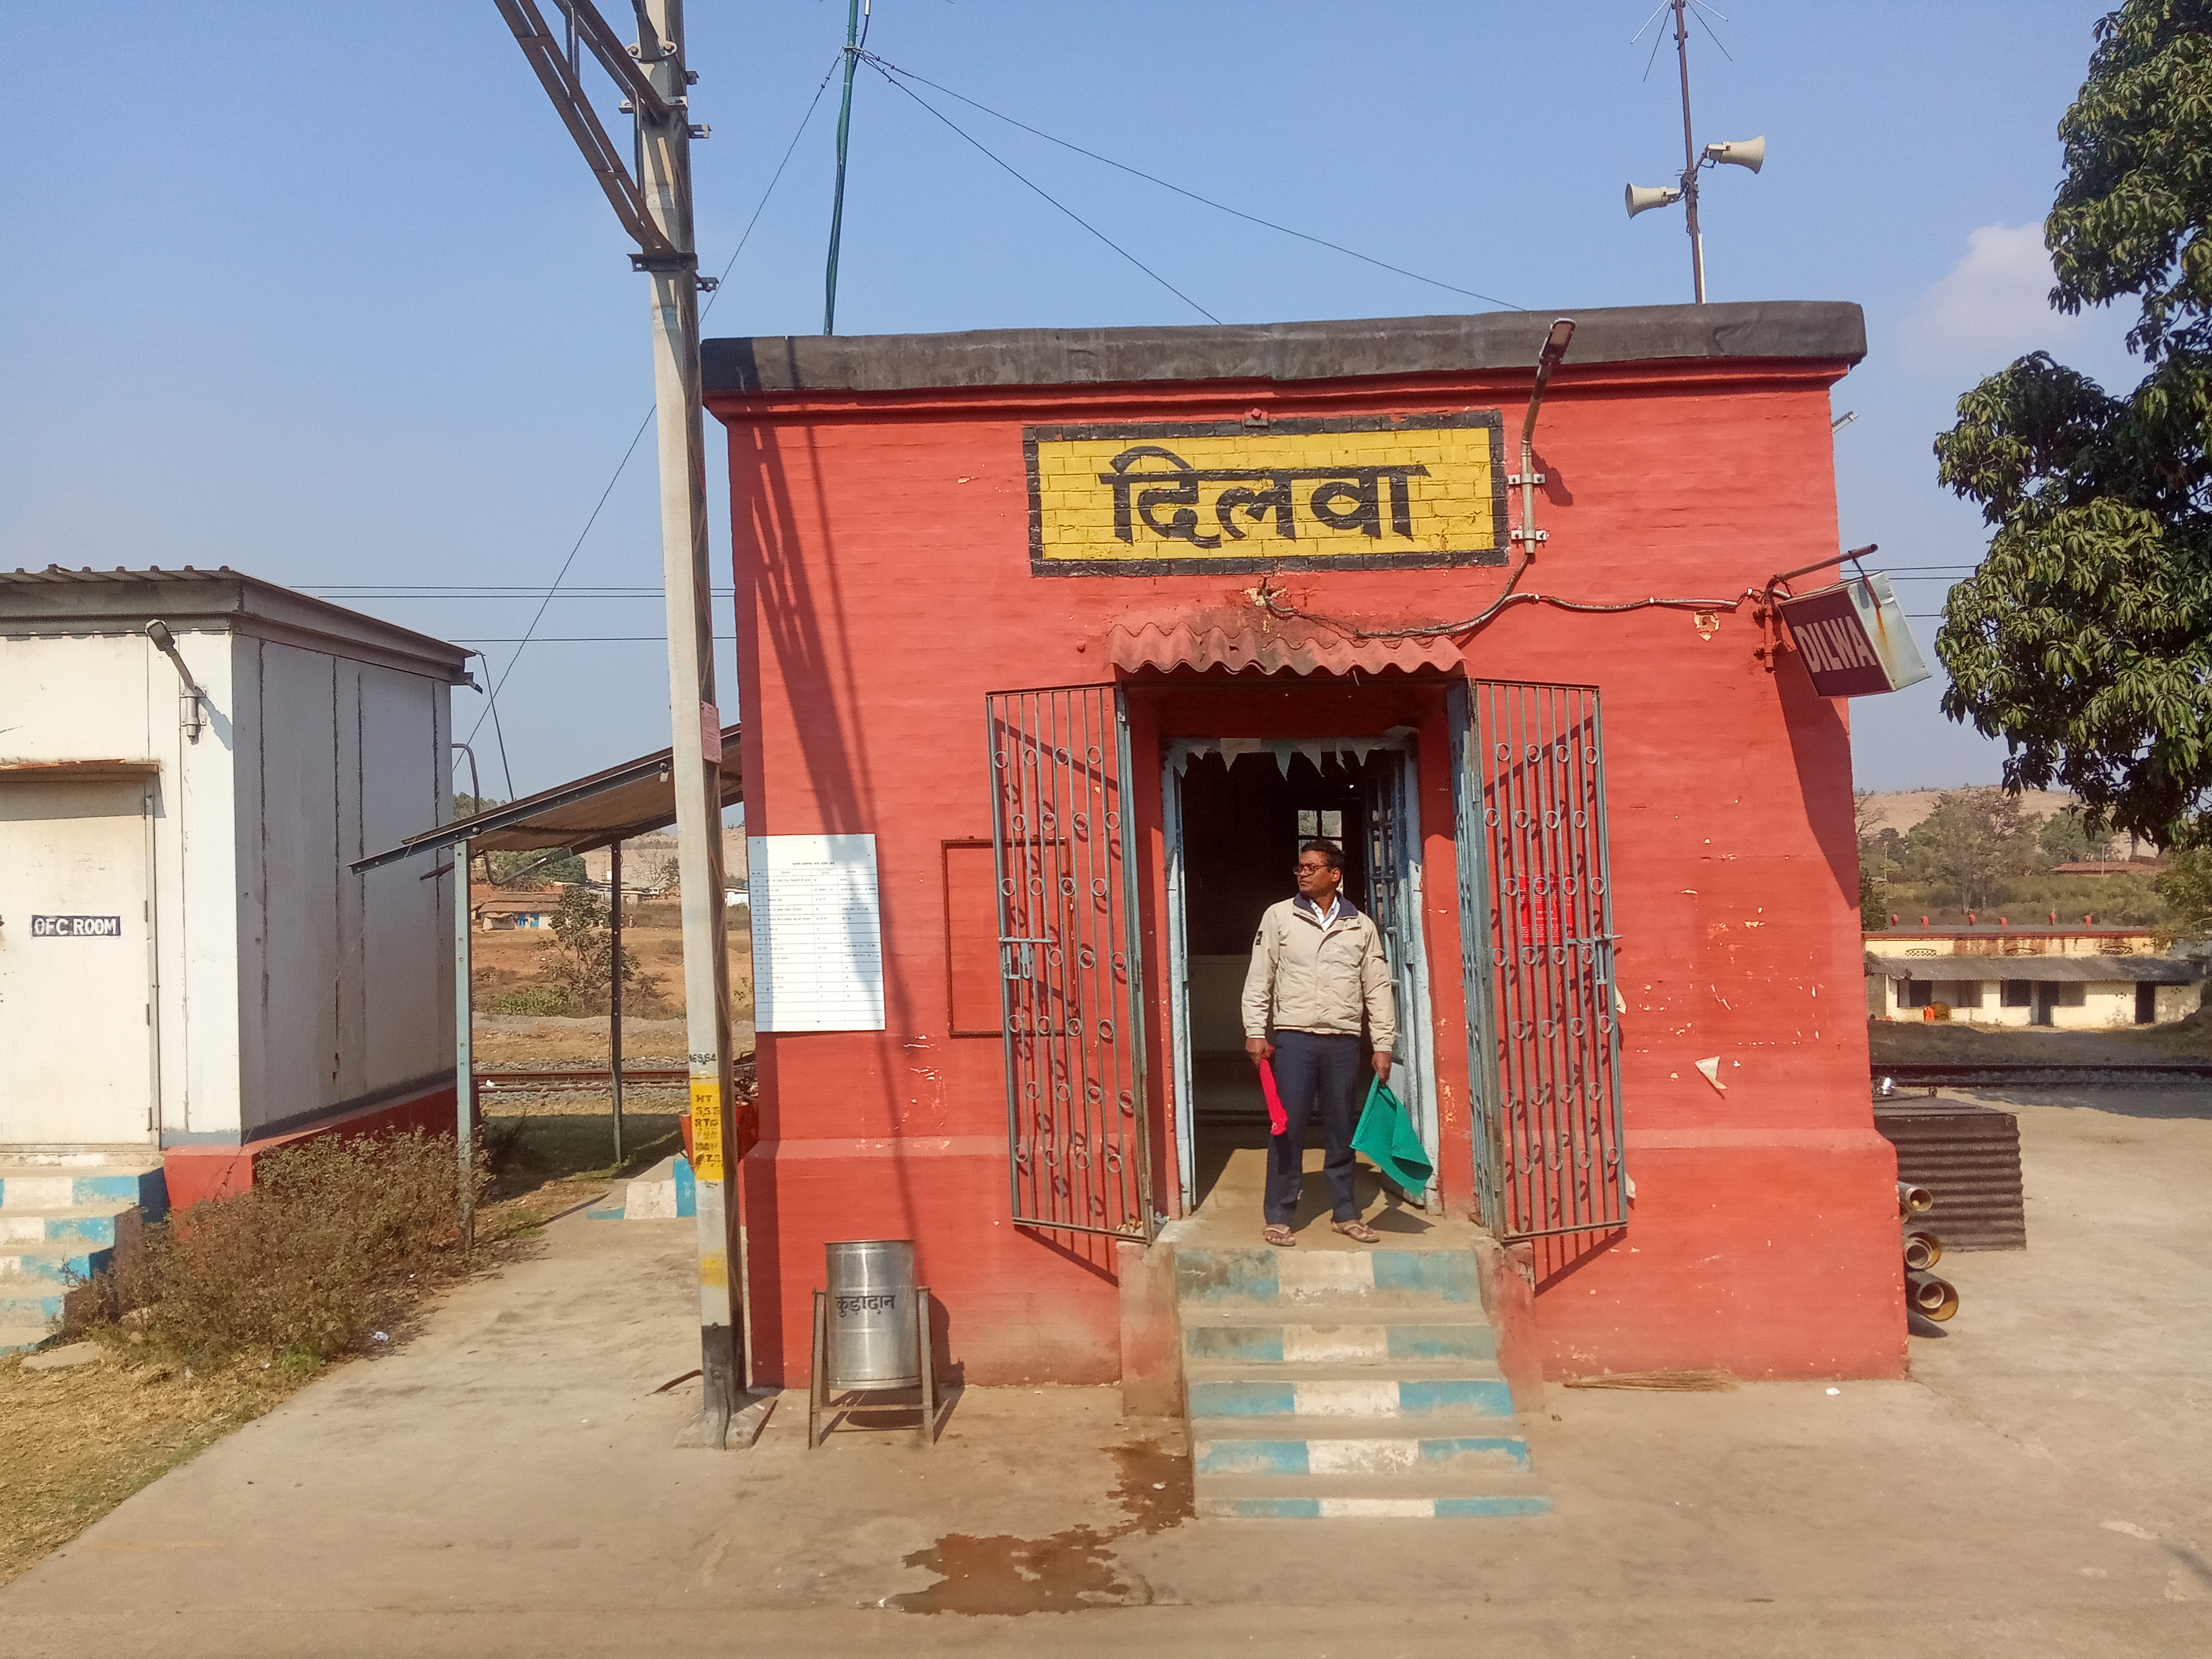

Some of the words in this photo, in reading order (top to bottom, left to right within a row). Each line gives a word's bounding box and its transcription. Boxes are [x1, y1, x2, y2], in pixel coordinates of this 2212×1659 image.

[1092, 445, 1433, 552] दिलवा
[1790, 613, 1879, 675] DILWA
[31, 916, 119, 938] OFCROOM